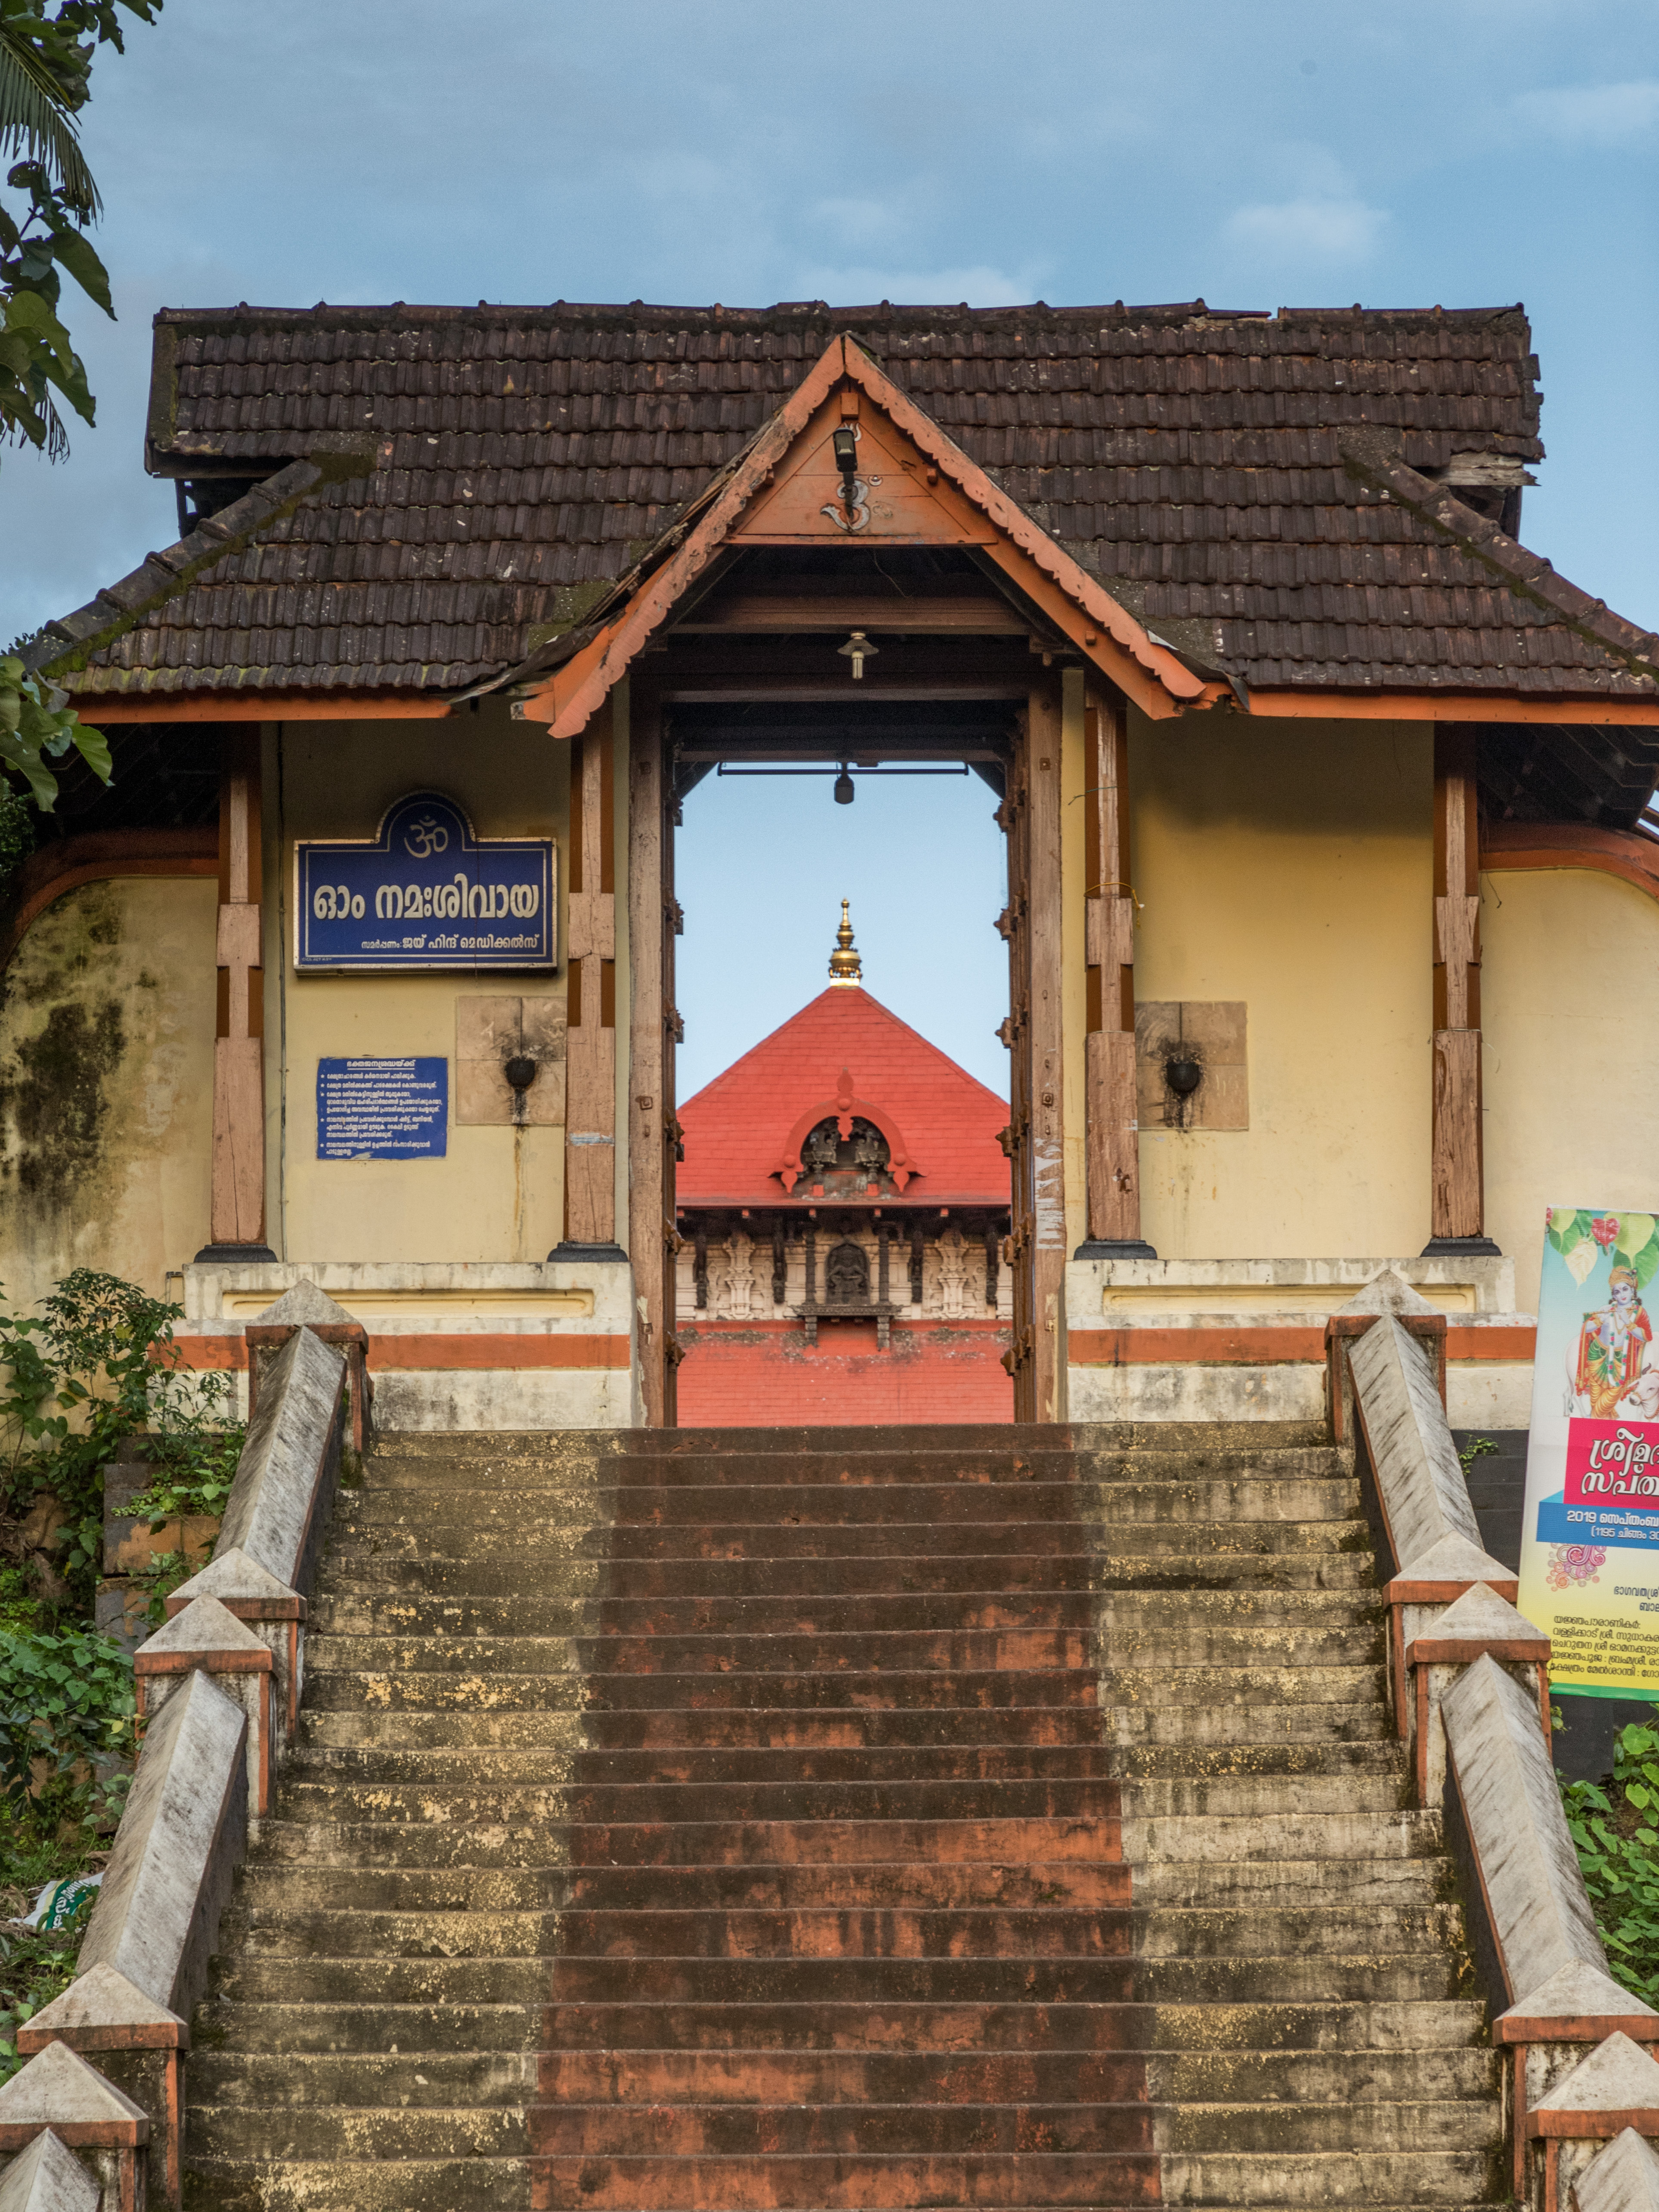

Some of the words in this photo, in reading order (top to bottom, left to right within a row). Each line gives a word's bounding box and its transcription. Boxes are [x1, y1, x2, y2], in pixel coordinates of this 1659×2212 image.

[375, 868, 541, 922] നമഃശിവായ
[305, 883, 371, 921] ഓം
[358, 934, 403, 952] സമർപ്പണം
[402, 933, 430, 954] ജയ്
[425, 930, 460, 950] ഹിന്ദ്
[456, 932, 542, 951] മെഡിക്കൽസ്
[344, 1056, 417, 1070] ഭക്തജനശ്രദ്ധയ്ക്ക്
[325, 1069, 366, 1080] ക്ഷേത്രാചാരങ്ങൾ
[361, 1069, 392, 1081] കർശനരായി
[389, 1068, 418, 1081] പാലിക്കുക
[324, 1080, 344, 1091] ക്ഷേത്ര
[340, 1078, 376, 1089] മതിൽക്കകത്ത്
[370, 1079, 404, 1090] പാദരക്ഷകൾ
[400, 1078, 437, 1090] കൊണ്ടുവരരുത്
[323, 1088, 344, 1100] ക്ഷേത്ര
[339, 1086, 386, 1100] മതിൽകെട്ടിനുള്ളിൽ
[383, 1089, 412, 1100] തുപ്പുകയോ
[324, 1097, 358, 1109] യാതൊരുവിധ
[349, 1102, 381, 1115] അവസ്ഥയിൽ
[355, 1096, 400, 1106] മഹരിപദാർത്ഥങ്ങൾ
[380, 1102, 420, 1116] പ്രവേശിക്കുകയോ
[399, 1095, 444, 1108] ഉപയോഗിക്കുകയോ
[416, 1104, 443, 1115] ചെയ്യരുത്
[324, 1112, 360, 1125] നാലമ്പലത്തിൽ
[358, 1111, 402, 1124] പ്രവേശിക്കുമ്പോൾ
[409, 1113, 435, 1123] ബനിയൻ
[325, 1121, 344, 1132] എന്നി‍വ
[325, 1129, 360, 1139] നാലമ്പലത്തിൽ
[359, 1128, 394, 1139] പ്രവേശിക്കരുത്
[367, 1123, 387, 1132] ഊരുക
[386, 1122, 404, 1131] കൈലി
[325, 1138, 373, 1151] നാലമ്പലത്തിനുള്ളിൽ
[391, 1139, 433, 1148] സംസാരിക്കുവാൻ
[324, 1145, 353, 1157] പാടുള്ളതല്ല
[1589, 1436, 1657, 1470] ശ്രീ്മ
[1580, 1467, 1657, 1500] സ്പത